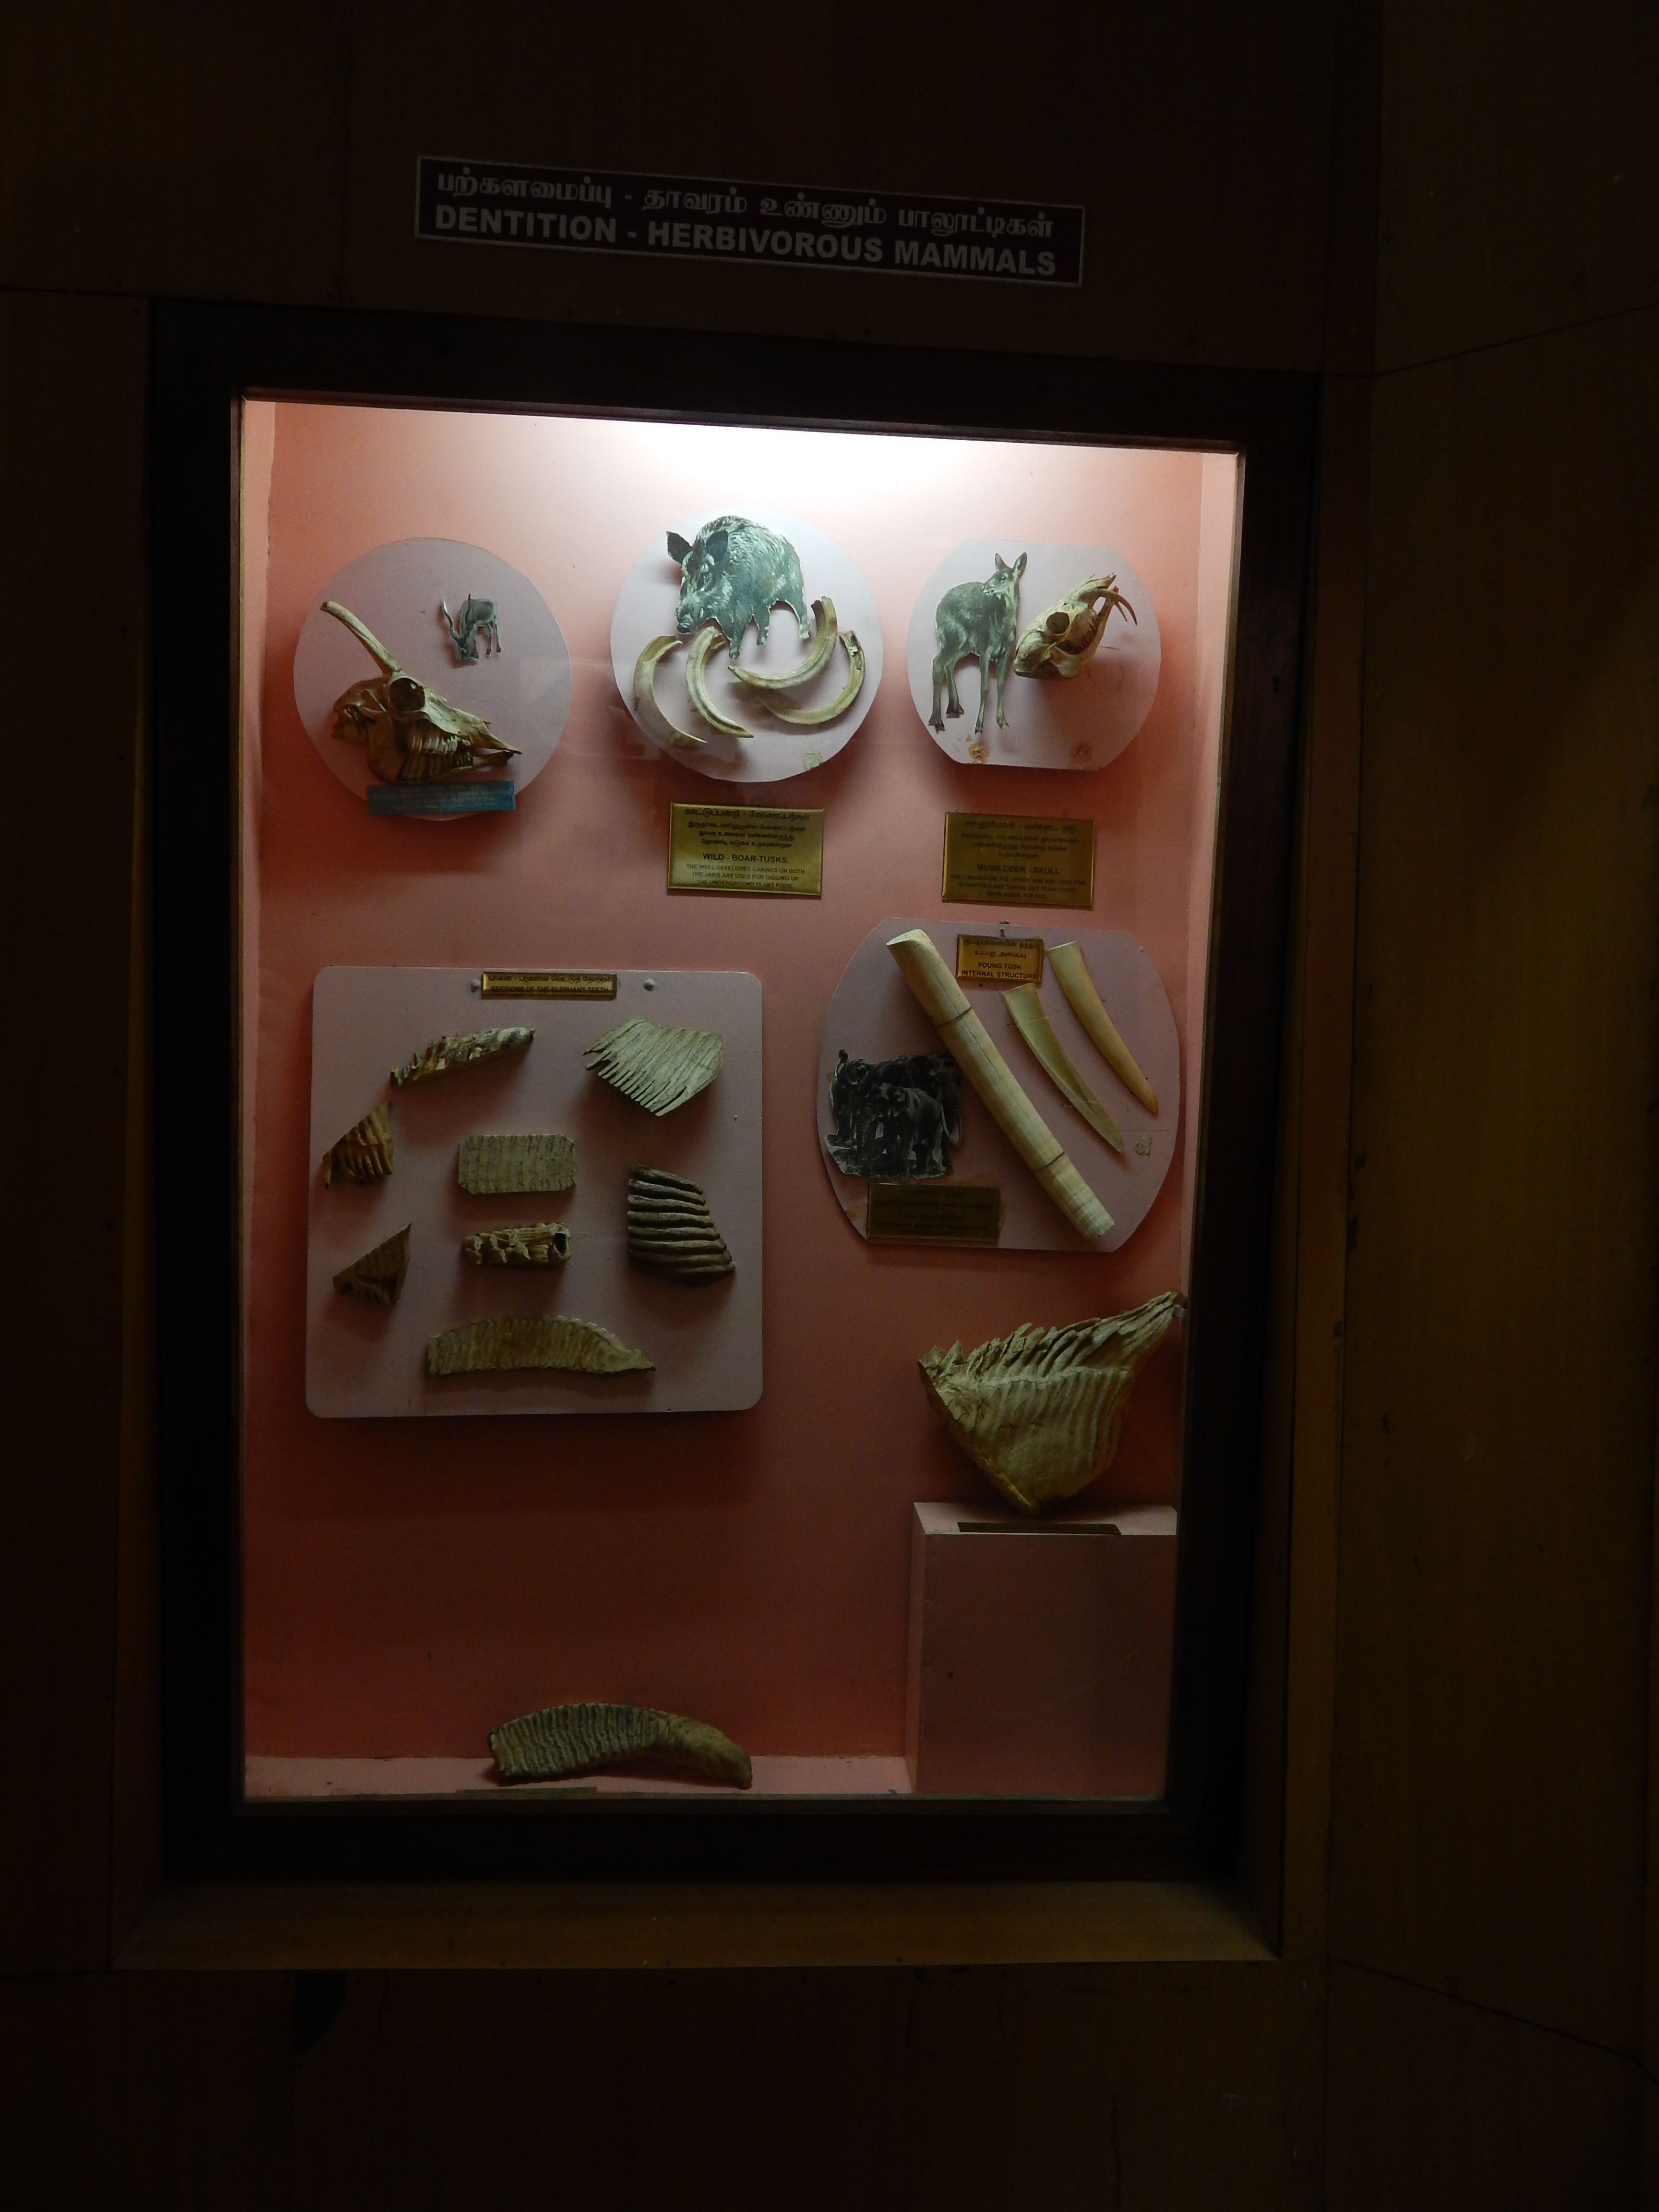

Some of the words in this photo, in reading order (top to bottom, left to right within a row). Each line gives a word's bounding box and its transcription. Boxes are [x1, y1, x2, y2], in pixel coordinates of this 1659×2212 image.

[437, 164, 614, 212] பற்களமைப்பு
[643, 185, 752, 217] தாவரம்
[758, 188, 890, 231] உண்ணும்
[434, 201, 620, 246] DENTITION
[896, 203, 1056, 240] பலூட்டிகள்
[646, 218, 885, 265] HERBIVOROUS
[893, 237, 1058, 280] MAMMALS
[682, 806, 740, 820] காட்டுப்பன்றி
[700, 851, 726, 864] WILD
[729, 853, 790, 865] BOAR-TUSKS.
[685, 862, 699, 872] THE
[690, 869, 705, 880] THE
[697, 863, 716, 871] WELL
[715, 863, 752, 873] DEVELOPED
[750, 865, 779, 874] CANINES
[764, 873, 791, 882] DIGGING
[788, 866, 806, 875] BOTH
[974, 861, 1002, 872] MUSK
[1001, 863, 1027, 875] DEER
[1031, 865, 1059, 876] SKULL
[972, 948, 997, 959] உட்புற
[997, 950, 1027, 960] அமைப்பு
[976, 960, 1004, 972] YOUNG
[1003, 961, 1023, 971] TUSK
[961, 967, 996, 979] INTERNAL
[994, 968, 1039, 982] STRUCTURE